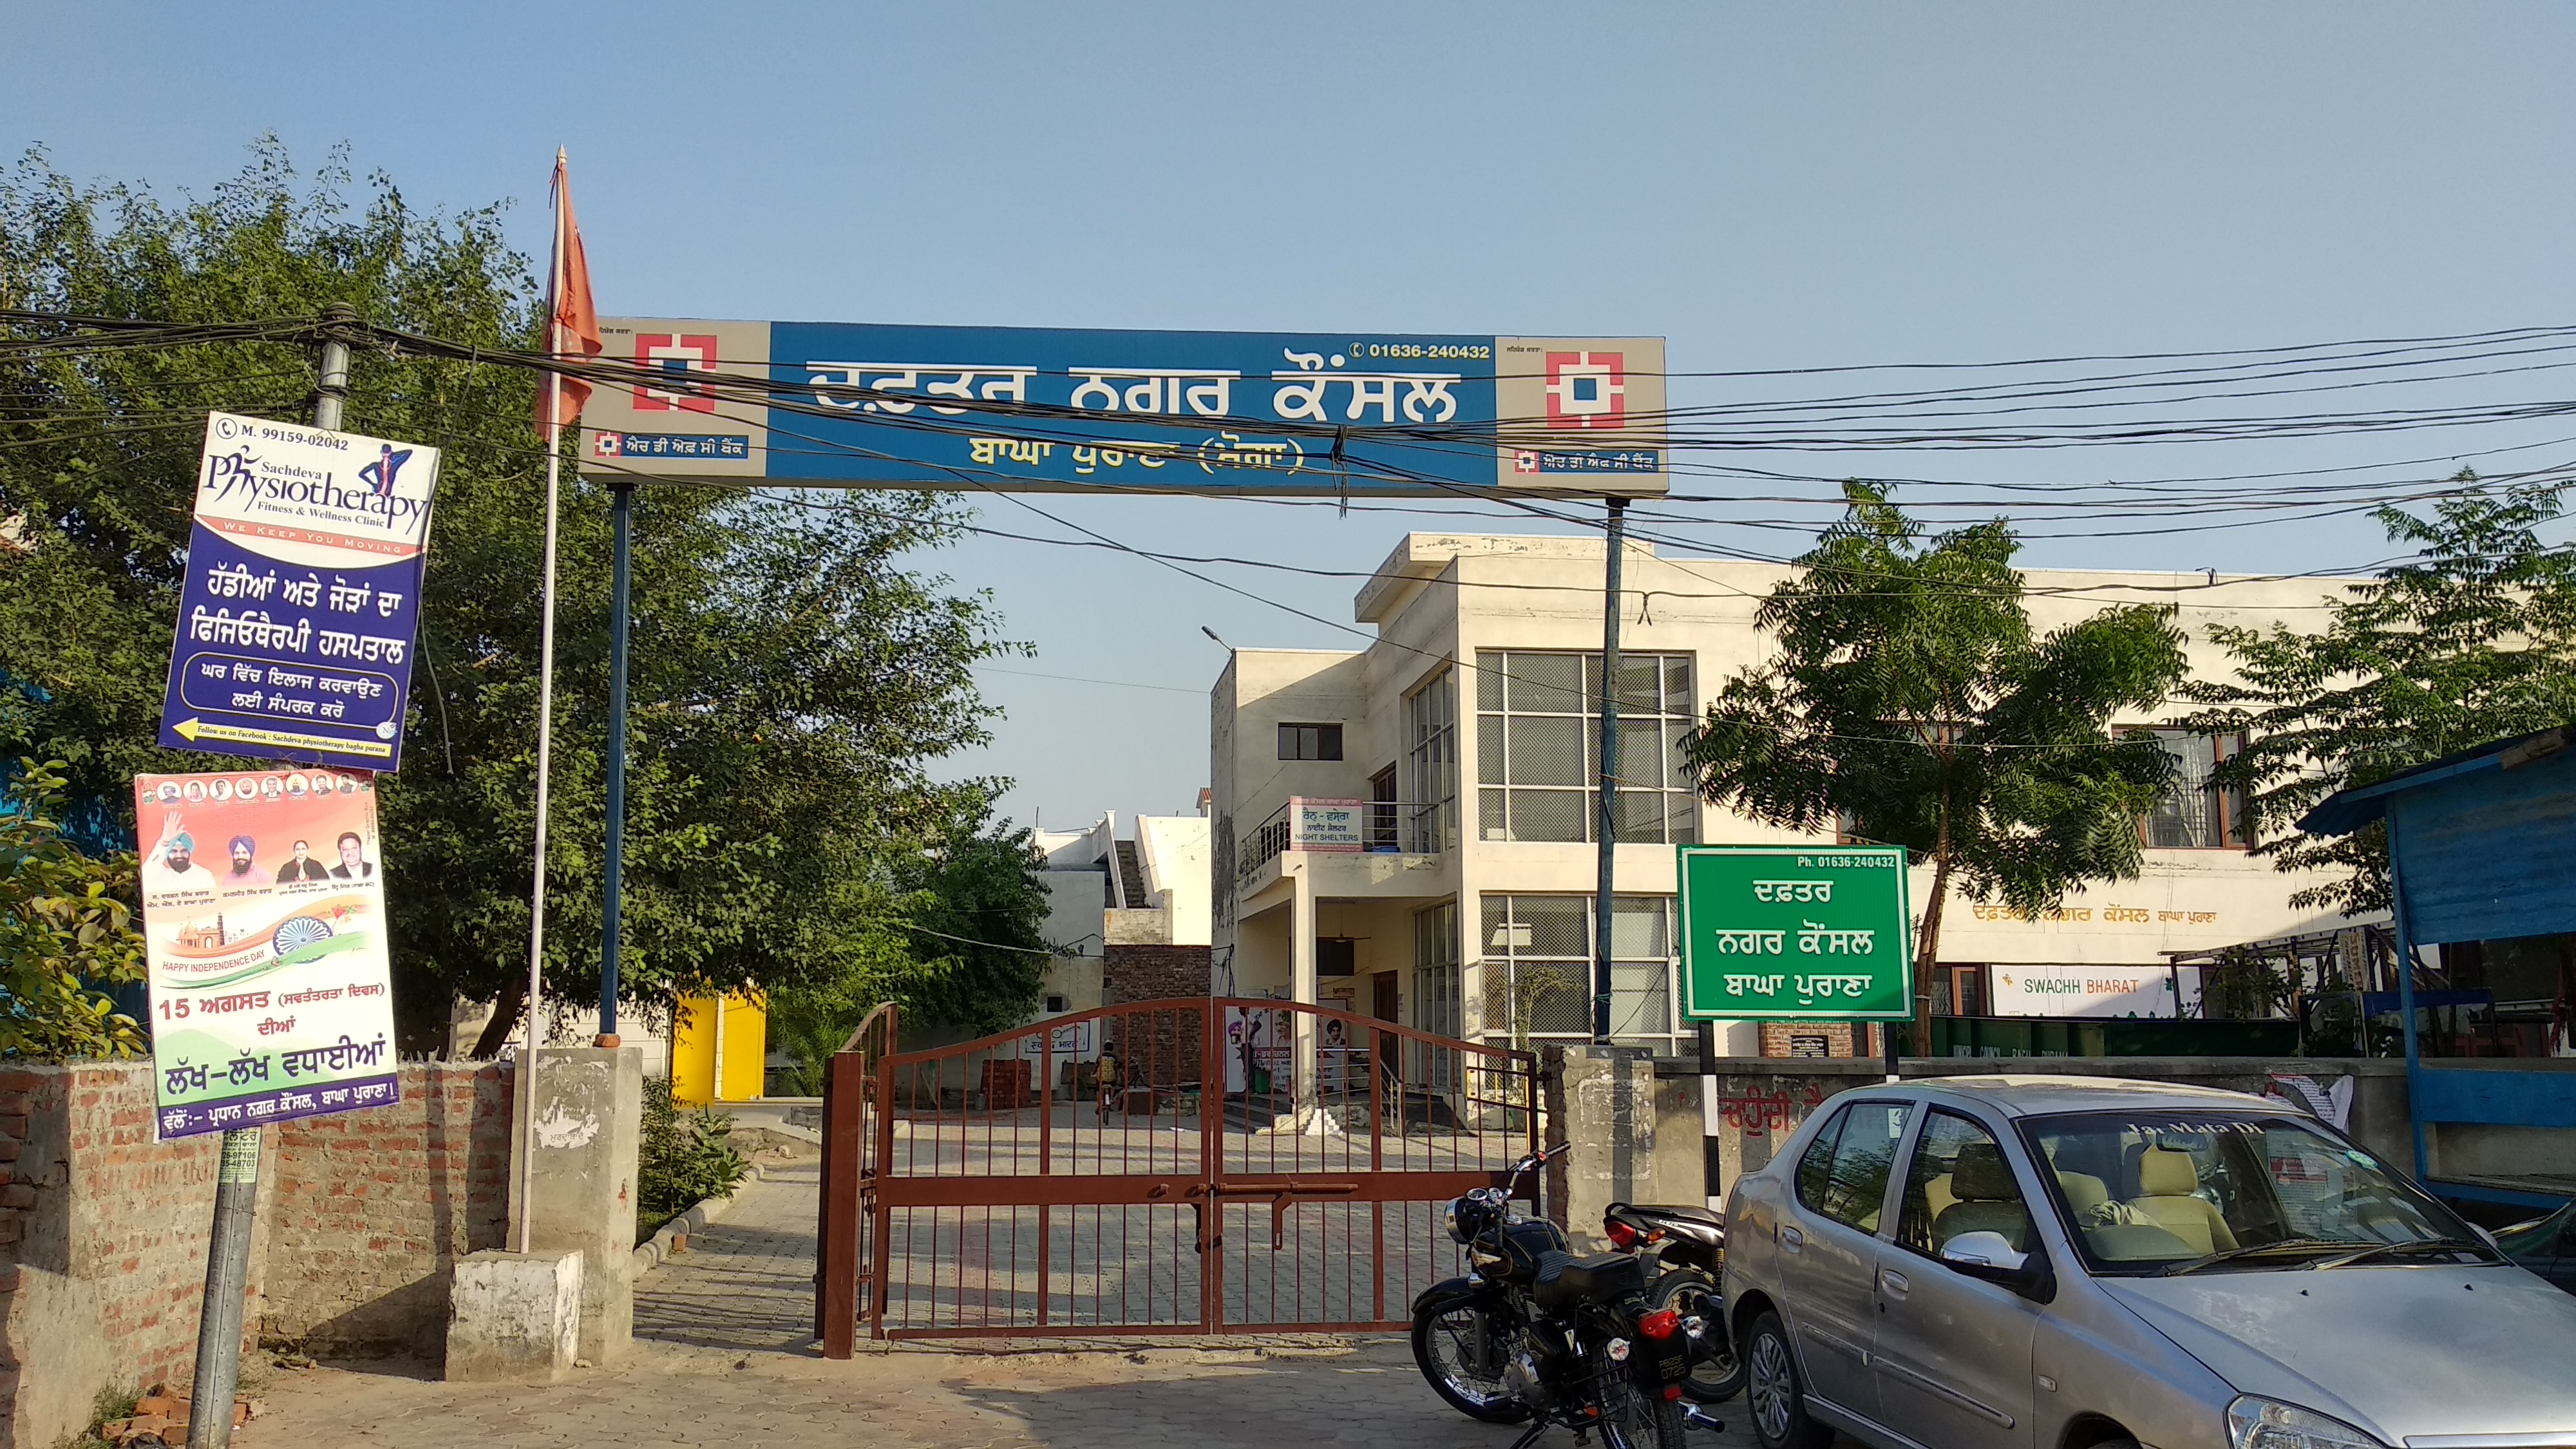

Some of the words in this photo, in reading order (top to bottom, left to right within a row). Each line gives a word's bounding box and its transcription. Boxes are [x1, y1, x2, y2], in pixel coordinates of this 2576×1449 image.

[1363, 339, 1495, 364] 01636-240432
[791, 352, 1052, 429] ਦਫ਼ਤਰ
[1060, 354, 1251, 431] ਨਗਰੁ
[1260, 339, 1473, 427] ਕੌਂਸਲ
[238, 419, 259, 440] M.
[258, 458, 323, 481] Sachdeva
[260, 425, 351, 453] 99159-02042
[621, 431, 719, 457] ਐਚਡੀਐਫ਼ਸੀ
[718, 434, 749, 457] ਬੈਕ
[953, 432, 1057, 472] ਬਾਘਾ
[1061, 430, 1189, 478] ਪੁਰਾਣਾ
[1204, 427, 1296, 478] (ਮੋਗਾ)
[1539, 448, 1630, 471] ਐਚ ਡੀ ਐਫ ਸੀ
[1630, 448, 1658, 473] ਬੈਂਕ
[199, 442, 430, 537] Phystotherapy
[220, 517, 248, 534] WE
[256, 498, 295, 518] Fitness
[254, 522, 299, 542] KEEP
[294, 504, 307, 520] &
[303, 530, 337, 547] YOU
[306, 504, 354, 527] Wellness
[352, 512, 386, 533] Clinic
[341, 535, 407, 557] MOVING
[199, 555, 280, 606] ਹੱਡੀਆਂ
[278, 567, 328, 612] ਅਤੇ
[325, 570, 374, 621] ਜੋੜਾਂ
[374, 580, 407, 623] ਦਾ
[181, 597, 317, 658] ਫਿਜਿਓਥੈਰਪੀ
[314, 623, 409, 670] ਹਸਪਤਾਲ
[196, 659, 231, 682] ਘਰ
[227, 659, 266, 688] ਵਿੱਚ
[265, 663, 317, 695] ਇਲਾਜ
[314, 671, 388, 702] ਕਰਵਾਉਣ
[227, 687, 267, 712] ਲਈ
[263, 689, 319, 719] ਸੰਪਰਕ
[316, 696, 347, 721] ਕਰੋ
[1293, 831, 1318, 843] NIGHT
[1300, 805, 1321, 822] ਰੈਨ
[1305, 822, 1326, 832] ਨਾਈਟ
[1326, 822, 1349, 831] ਸੈਲਟਰ
[1323, 806, 1354, 823] ਵਸੇਗ
[1318, 832, 1359, 844] SHELTERS
[1794, 853, 1817, 870] Ph.
[1815, 854, 1897, 871] 01636-240432
[1748, 876, 1838, 908] ਦਫ਼ਤਰ
[2099, 897, 2154, 928] ਕੋਂਸਲ
[2152, 905, 2186, 925] ਬਾਘਾ
[2185, 905, 2222, 928] ਪੁਰਾਣ
[1709, 920, 1792, 962] ਨਗਰ
[1792, 913, 1881, 961] ਕੋਂਸਲ
[160, 960, 190, 974] HAPPY
[189, 952, 252, 974] INDEPENDENCE
[248, 947, 268, 965] DAY
[155, 994, 192, 1023] 15
[196, 987, 274, 1019] ਅਗਸਤ
[281, 984, 347, 1006] ਸਵਤੰਤਰਤਾ
[346, 979, 383, 1001] ਦਿਵਸ
[1716, 971, 1790, 1000] ਬਾਘਾ
[1790, 969, 1879, 1008] ਪੁਰਾਣਾ
[2020, 976, 2085, 998] SWACHH
[2084, 975, 2144, 996] BHARAT
[252, 1012, 302, 1040] ਦੀਆਂ
[277, 1027, 393, 1082] ਵਧਾਈਆਂ
[161, 1045, 276, 1099] ਲੱਖ-ਲੱਖ
[160, 1104, 189, 1133] ਵੱਲੋਂ
[204, 1101, 245, 1128] ਪ੍ਰਧਾਨ
[243, 1095, 278, 1121] ਨਗਰ
[276, 1088, 317, 1115] ਕੌਂਸਲ,
[316, 1084, 350, 1108] ਬਾਘਾ
[350, 1079, 391, 1106] ਪੁਰਾਣਾ
[1719, 1081, 1795, 1142] ਚਾਹੁੰਦੀ
[2121, 1117, 2170, 1141] Jai
[2161, 1117, 2237, 1139] Mata
[2224, 1117, 2269, 1137] Di
[1653, 1351, 1687, 1371] PB25F
[1658, 1361, 1690, 1382] 0725